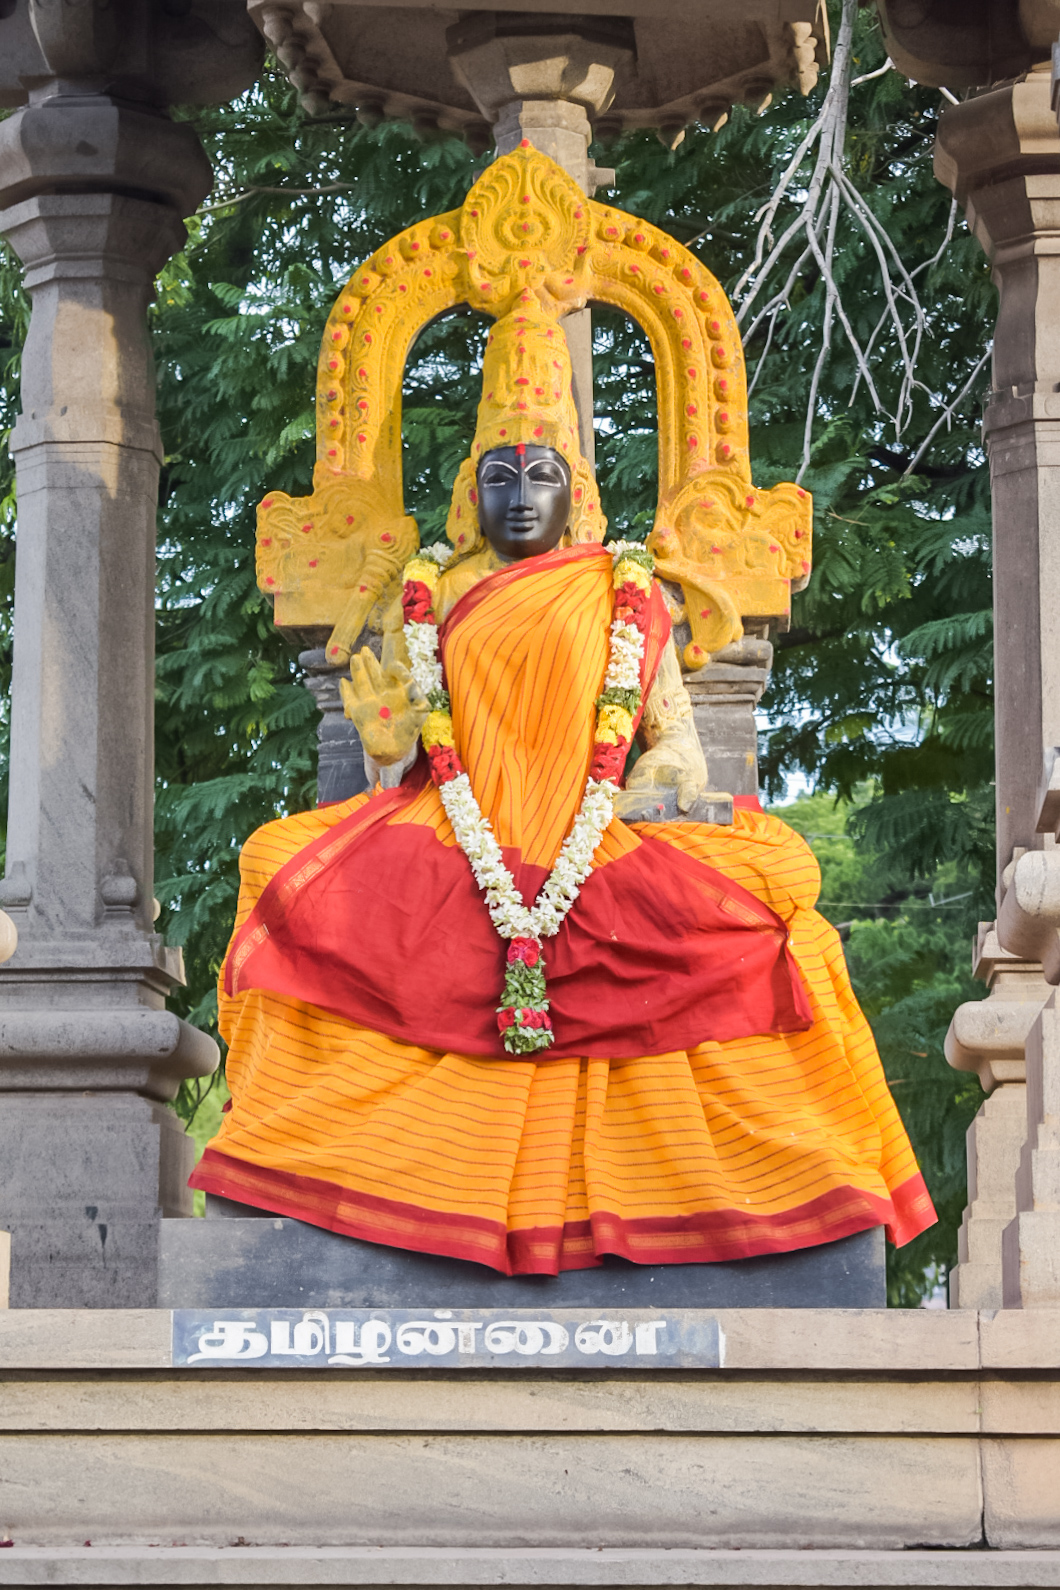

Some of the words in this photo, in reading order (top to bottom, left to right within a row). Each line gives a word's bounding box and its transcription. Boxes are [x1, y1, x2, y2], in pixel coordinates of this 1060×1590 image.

[184, 1297, 668, 1371] தமிழன்னை